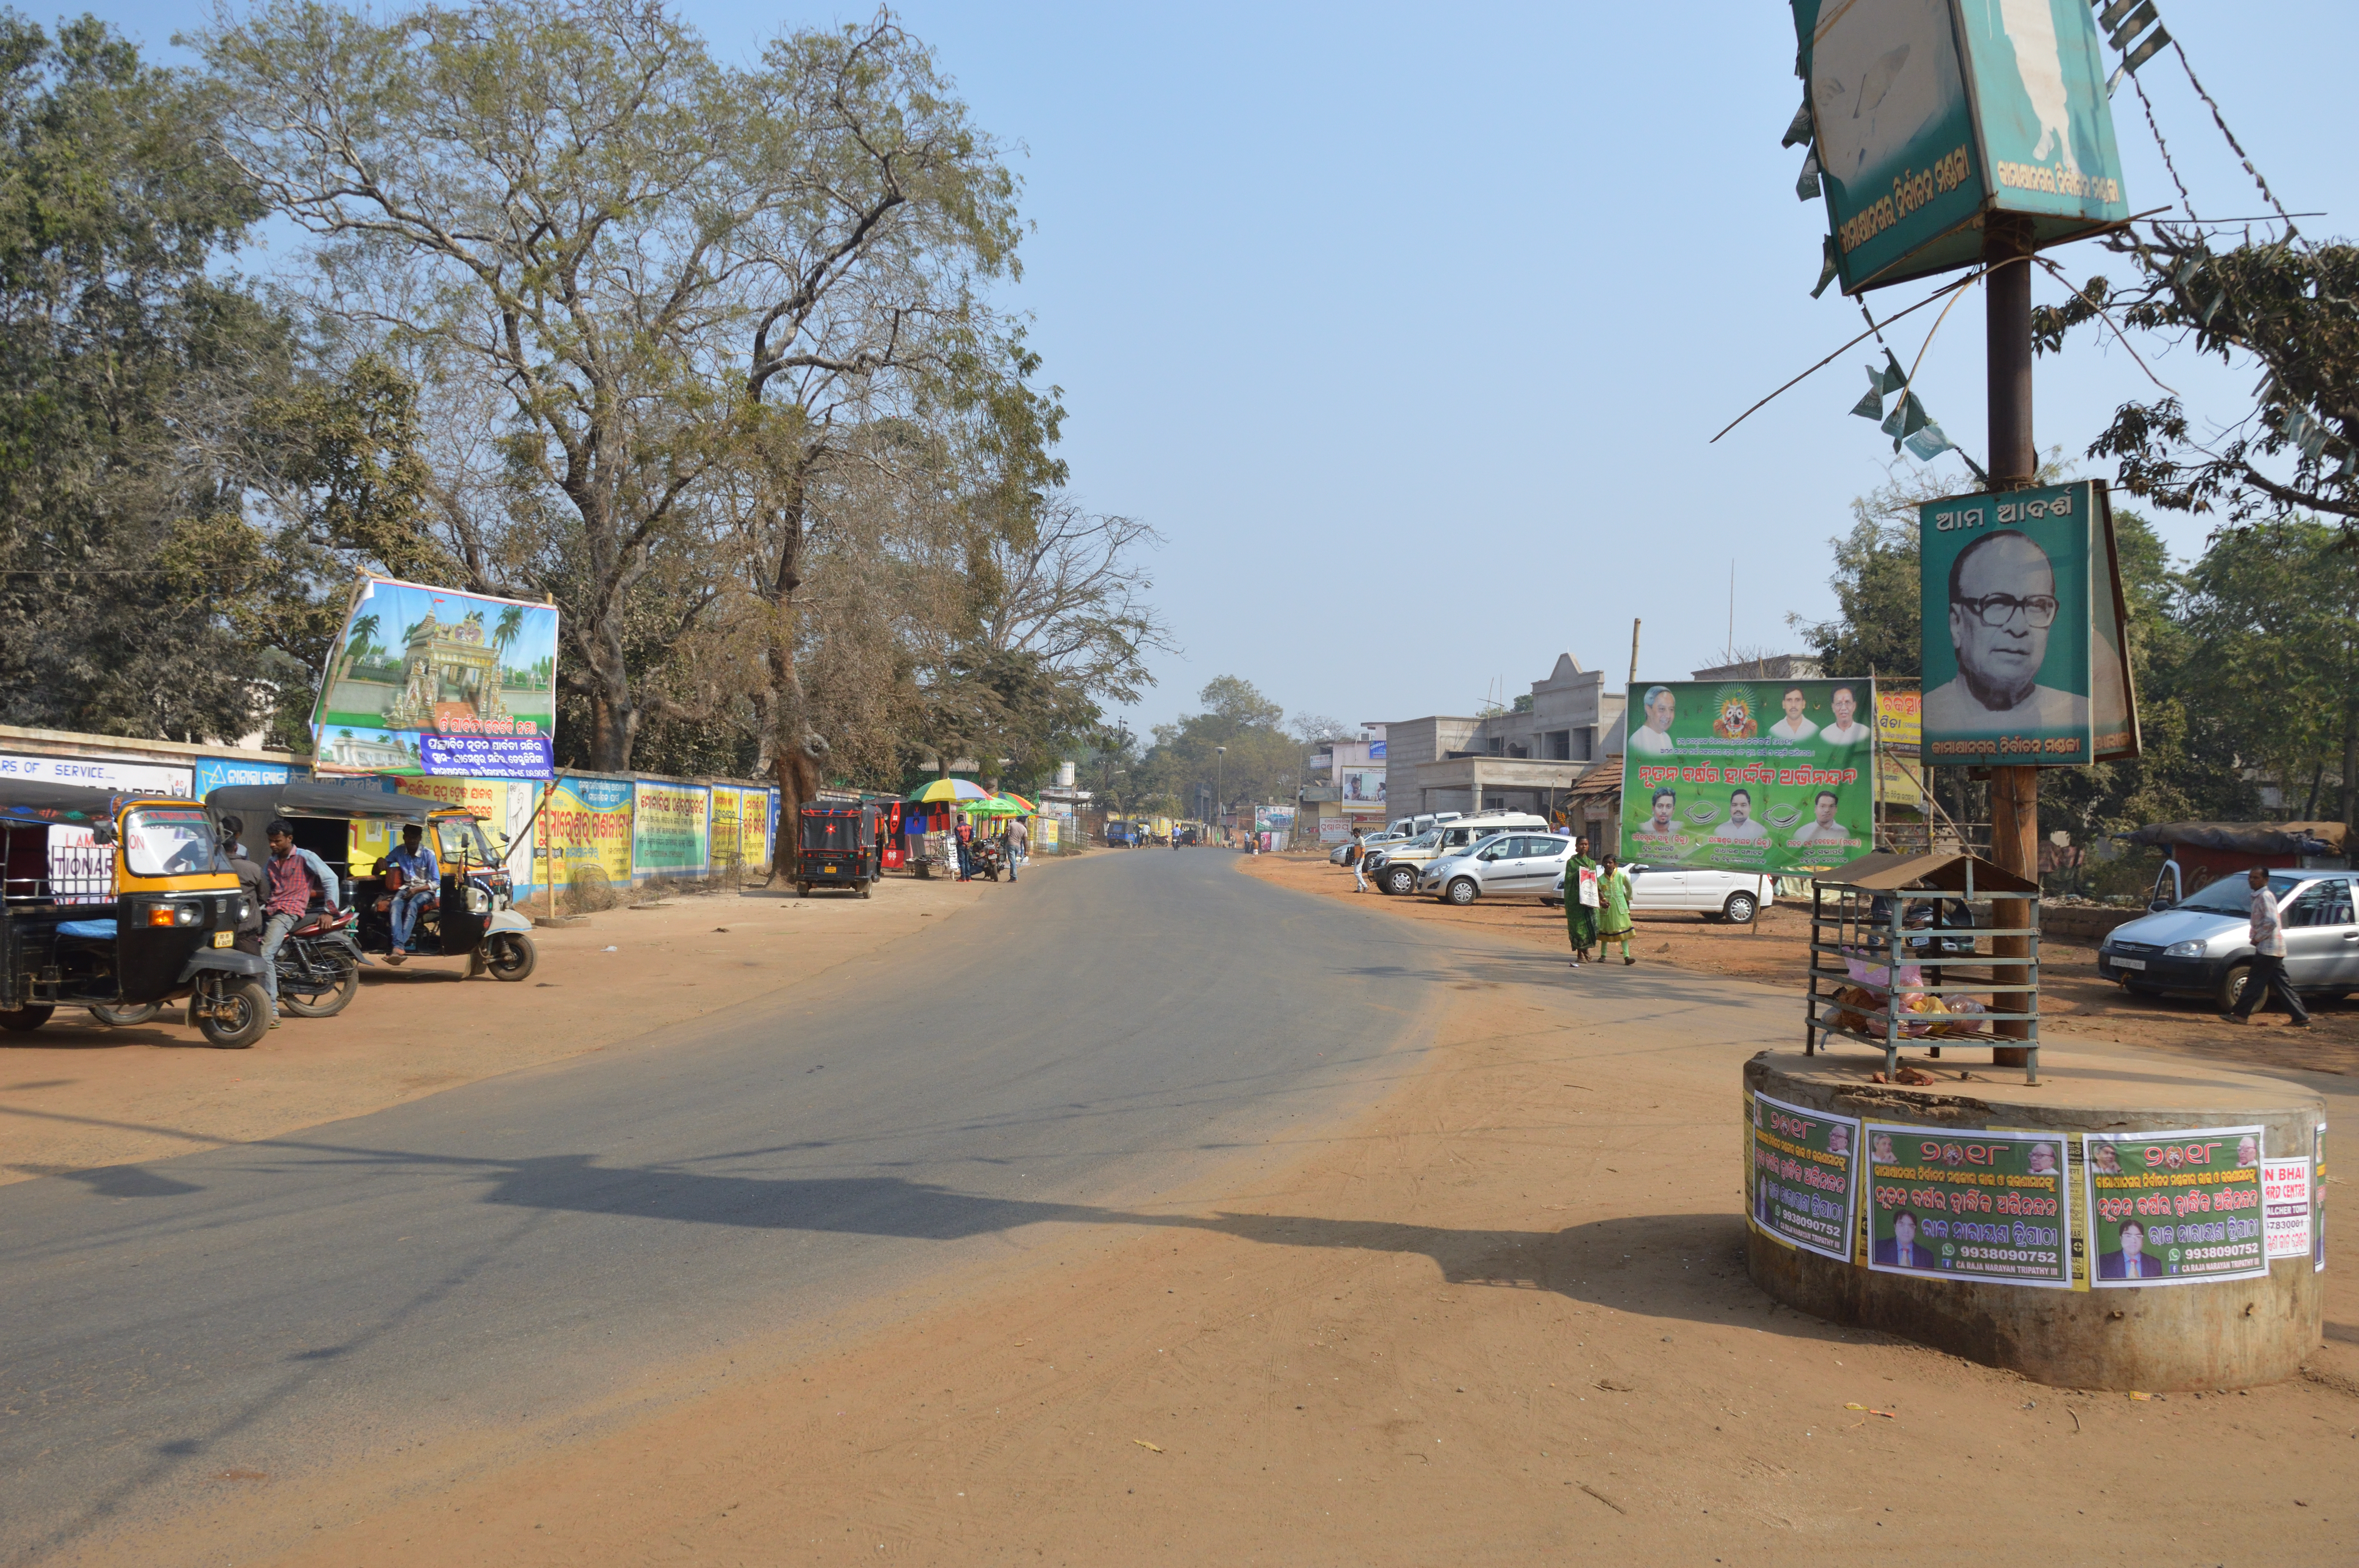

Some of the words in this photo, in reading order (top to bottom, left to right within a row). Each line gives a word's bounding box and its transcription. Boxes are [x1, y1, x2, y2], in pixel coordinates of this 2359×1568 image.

[1994, 485, 2073, 526] ଆଦର୍ଶ
[1933, 506, 1985, 534] ଆମ
[1880, 690, 1923, 716] ଚିଳସୁା
[437, 709, 485, 735] ଓଁ ପାର୍ବତା
[484, 713, 516, 736] ଦେବୈ
[516, 719, 538, 737] ନମ8
[1876, 712, 1902, 730] ସିତା
[431, 751, 450, 765] ପ୍ତାନ-
[427, 733, 466, 751] ପ୍ରସ୍ଥାବିତ
[450, 751, 487, 767] ରାମେଶ୍ବର
[465, 737, 491, 753] ନୁତନ
[485, 749, 509, 766] ମଦି
[491, 736, 520, 752] ପାର୍ବତା
[507, 749, 545, 768] ତେନ୍ତୁଳିସିଙ୍ଗା
[519, 735, 544, 752] ମଦିର
[1720, 748, 1736, 758] ତ୍କେଲ
[1770, 735, 1795, 747] ୨୦୧୮
[1929, 739, 1998, 756] କାମାକ୍ଷାନଗର
[1995, 732, 2042, 754] ନିର୍ବାଚନ
[2043, 735, 2083, 756] ମଣ୍ଡଳୀ
[21, 758, 45, 779] OF
[53, 762, 110, 781] SERVICE
[429, 764, 471, 778] କାରାଆସରର
[524, 767, 551, 779] .୦୧.୨୦୧୮
[1639, 763, 1681, 791] ନୂତନ
[1679, 759, 1721, 784] ଚର୍ଷଚ
[1723, 761, 1777, 785] ହାଦିକ
[1777, 762, 1860, 787] ଅଭିନନ୍ଦନ
[431, 783, 450, 804] ସପ୍ନ
[468, 785, 494, 802] ସାକାର
[639, 788, 671, 812] ମୋନାଲିସା
[537, 808, 591, 848] କୁମାରେଶ୍ବର୍
[589, 811, 631, 840] ଗଣନାଟ୍ଯ
[1320, 822, 1351, 832] ପୁଷ୍ପାଳୟ
[1641, 843, 1652, 854] ଯୁବ
[1656, 833, 1670, 845] ସିଲୁ
[1653, 844, 1676, 852] ସଭାପତି
[1671, 832, 1687, 846] ସିଲୁ
[1713, 846, 1741, 854] ପାଧାରଣ
[1732, 835, 1752, 846] ନାୟକ
[1786, 838, 1803, 849] ମଦନ
[1801, 849, 1816, 856] ବ୍ଲକ
[1810, 836, 1838, 848] ବେହେରା
[1819, 855, 1837, 863] ଳନତା
[1817, 847, 1845, 855] ସଭାପତି